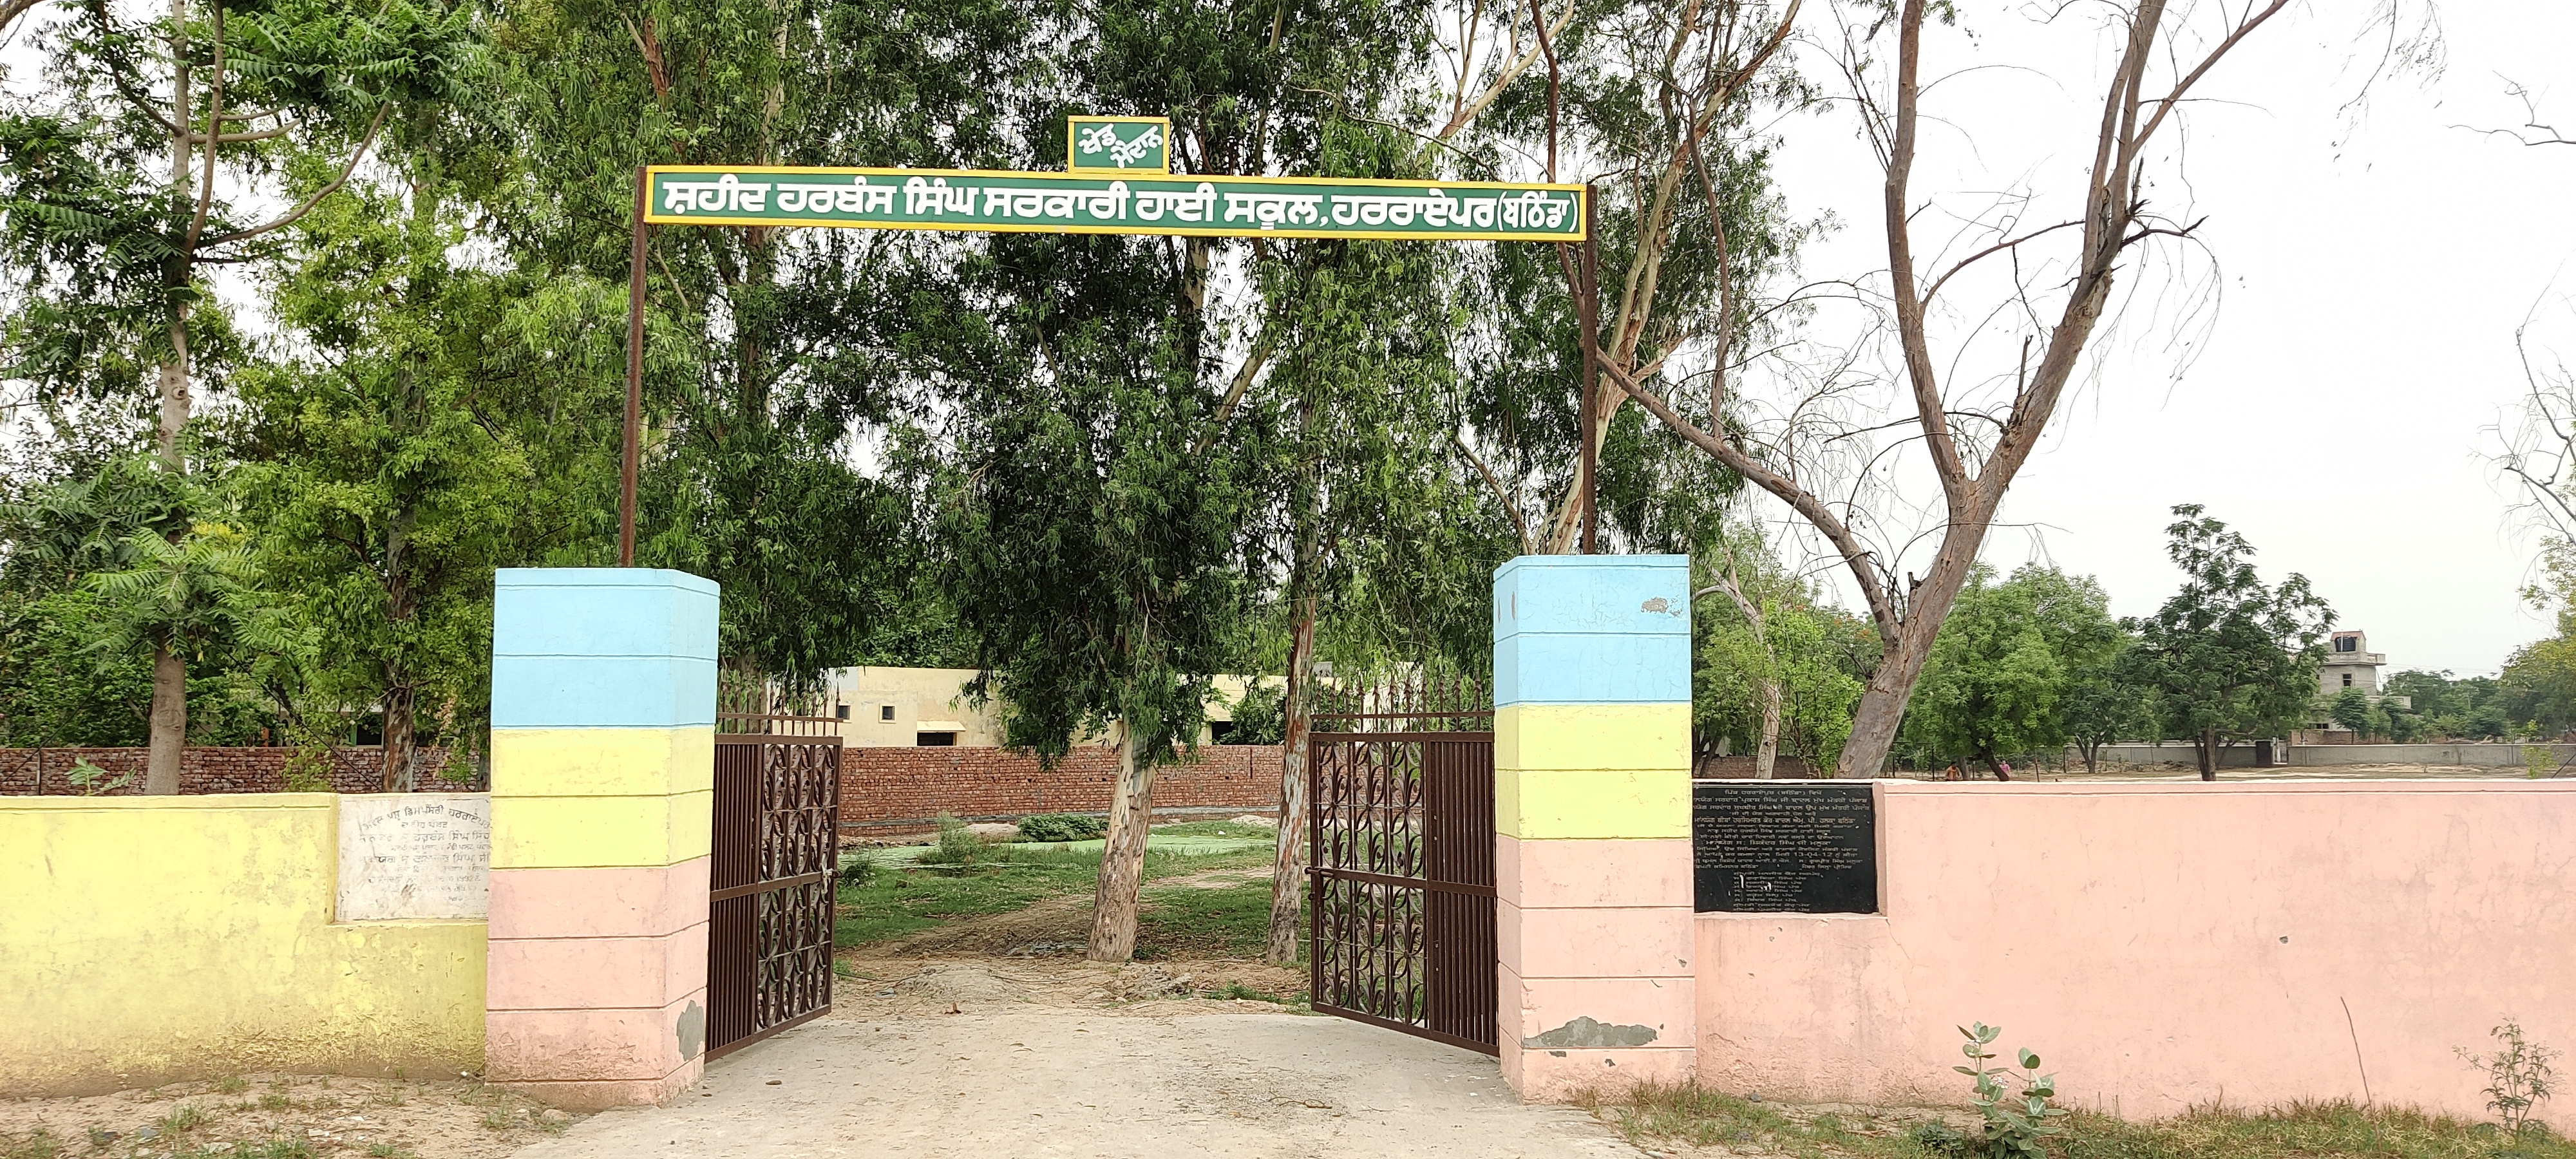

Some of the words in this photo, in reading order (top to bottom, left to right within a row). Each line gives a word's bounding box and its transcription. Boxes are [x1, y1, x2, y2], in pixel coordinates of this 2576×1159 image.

[1074, 120, 1120, 156] ਖੇਡ
[1101, 121, 1166, 173] ਮੈਦਾਨ
[658, 171, 776, 218] ਸ਼ਹੀਦ
[770, 173, 900, 221] ਹਰਬੰਸ
[901, 175, 981, 219] ਸਿੰਘ
[978, 179, 1133, 225] ਸਰਕਾਰੀ
[1132, 179, 1221, 231] ਹਾਈ
[1218, 186, 1327, 232] ਸਕੂਲ
[1327, 185, 1501, 232] ਹਰਰਾਏਪਰ
[1499, 187, 1572, 230] ਬਠਿੰਡਾ